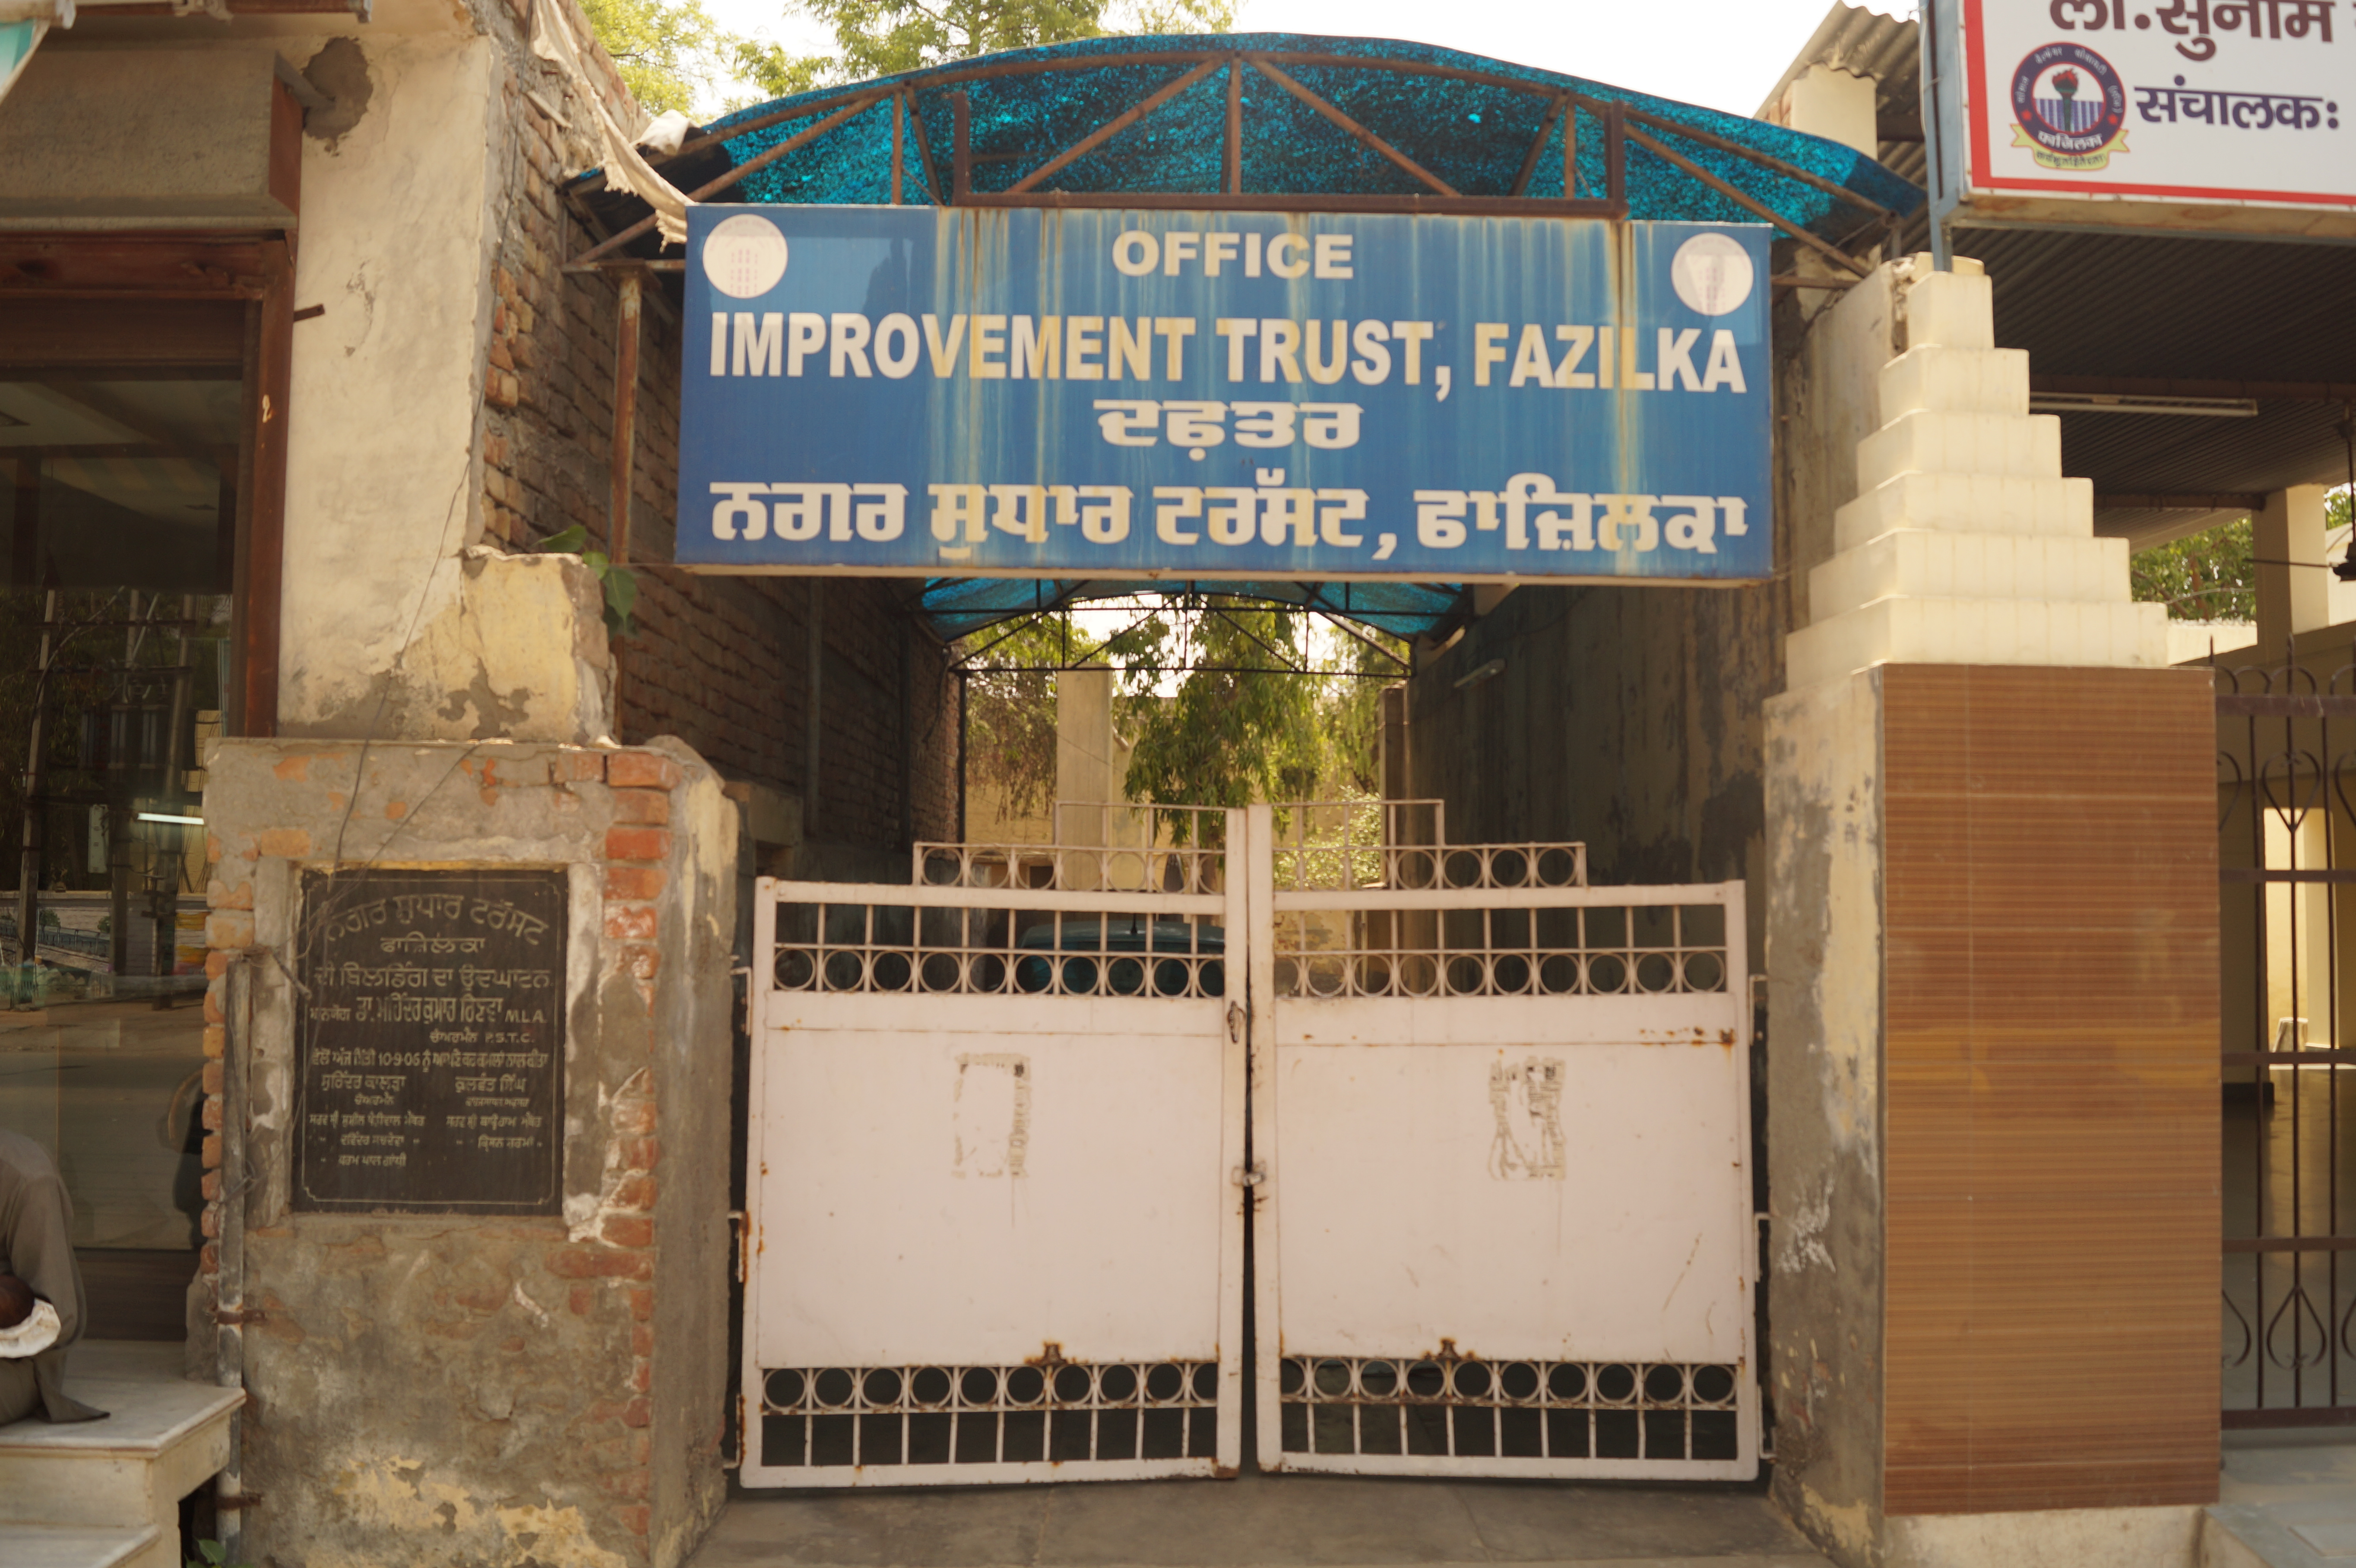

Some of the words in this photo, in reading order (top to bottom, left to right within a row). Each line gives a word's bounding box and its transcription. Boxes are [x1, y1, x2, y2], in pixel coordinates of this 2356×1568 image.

[2150, 0, 2341, 72] सुनाम
[2127, 72, 2346, 142] संचालकः
[1104, 226, 1361, 290] OFFICE
[694, 304, 1207, 388] IMPROVEMENT
[1206, 311, 1442, 395] TRUST
[1462, 316, 1754, 402] FAZILKA
[1084, 391, 1379, 471] ਦਫ਼ਤਰ
[694, 471, 917, 553] ਨਗਰ
[914, 477, 1140, 569] ਸੁਧਾਰ
[1142, 461, 1380, 566] ਟਰੱਸਟ
[1403, 456, 1764, 568] ਫਾਜਿਲਕਾ
[314, 895, 393, 947] ਨਗਰ
[389, 889, 469, 929] ਸੁਧਾਰ
[464, 891, 555, 954] ਟਰੱਸਟ
[375, 928, 490, 960] ਫਜ਼ਿਲਕਾ
[310, 957, 338, 991] ਦੀ
[338, 955, 431, 991] ਬਿਲਡਿੰਗ
[431, 963, 458, 990] ਦਾ
[456, 961, 558, 997] ਉਦਘਾਟਨ
[352, 992, 375, 1024] ਡਾ.
[374, 990, 423, 1026] ਮਹਿੰਦਰ
[421, 993, 458, 1026] ਕਮਾਹ
[458, 993, 507, 1026] ਰਿਣਵਾ
[501, 1005, 551, 1027] MLA
[427, 1026, 482, 1046] ਚੇਅਰਮੈਨ
[482, 1029, 536, 1046] P.S.T.C.
[377, 1048, 422, 1070] 10.9.06
[421, 1046, 431, 1075] ਨੂੰ
[315, 1067, 364, 1095] ਸਰਿਦਰ
[363, 1070, 410, 1093] ਕਾਲੜਾ
[450, 1070, 499, 1095] ਕੁਲਵੰਤ
[498, 1071, 535, 1094] ਇੰਘ